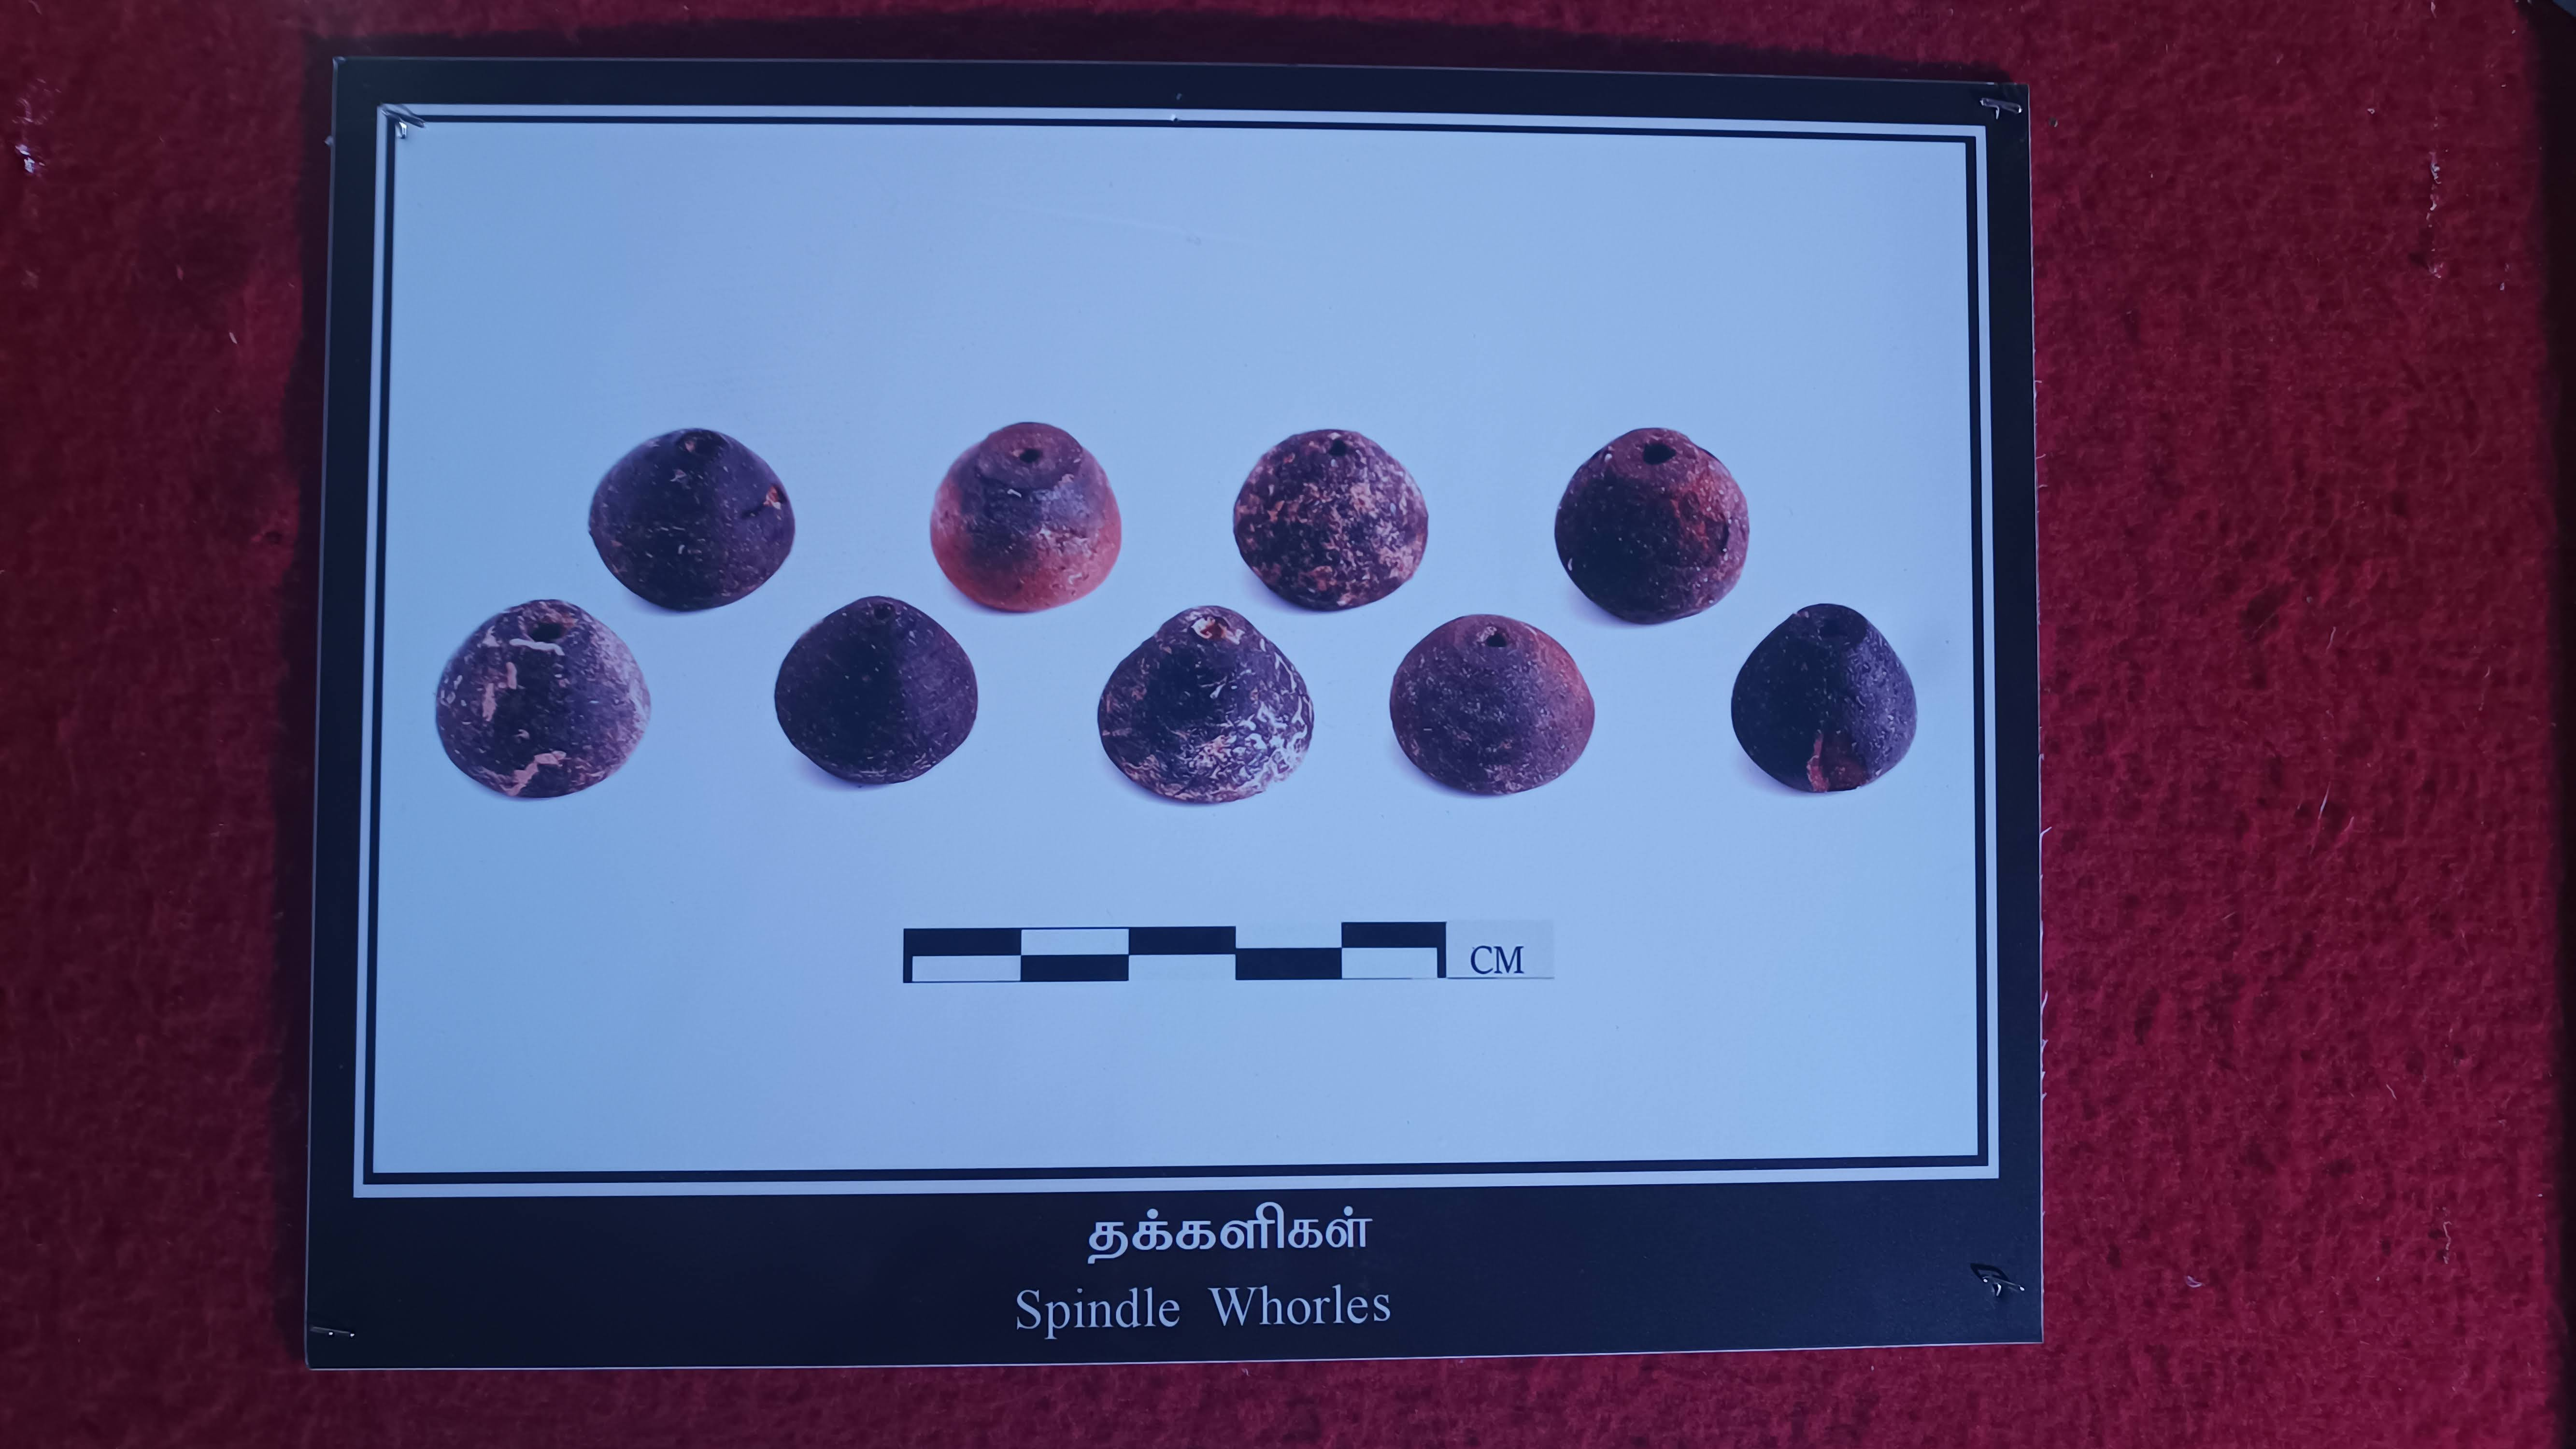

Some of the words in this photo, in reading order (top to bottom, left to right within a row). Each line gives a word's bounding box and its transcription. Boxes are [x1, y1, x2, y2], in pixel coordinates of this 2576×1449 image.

[1465, 935, 1532, 979] CM
[1082, 1196, 1375, 1268] தக்களிகள்
[1013, 1285, 1183, 1343] Spindle
[1208, 1280, 1393, 1328] Whorles